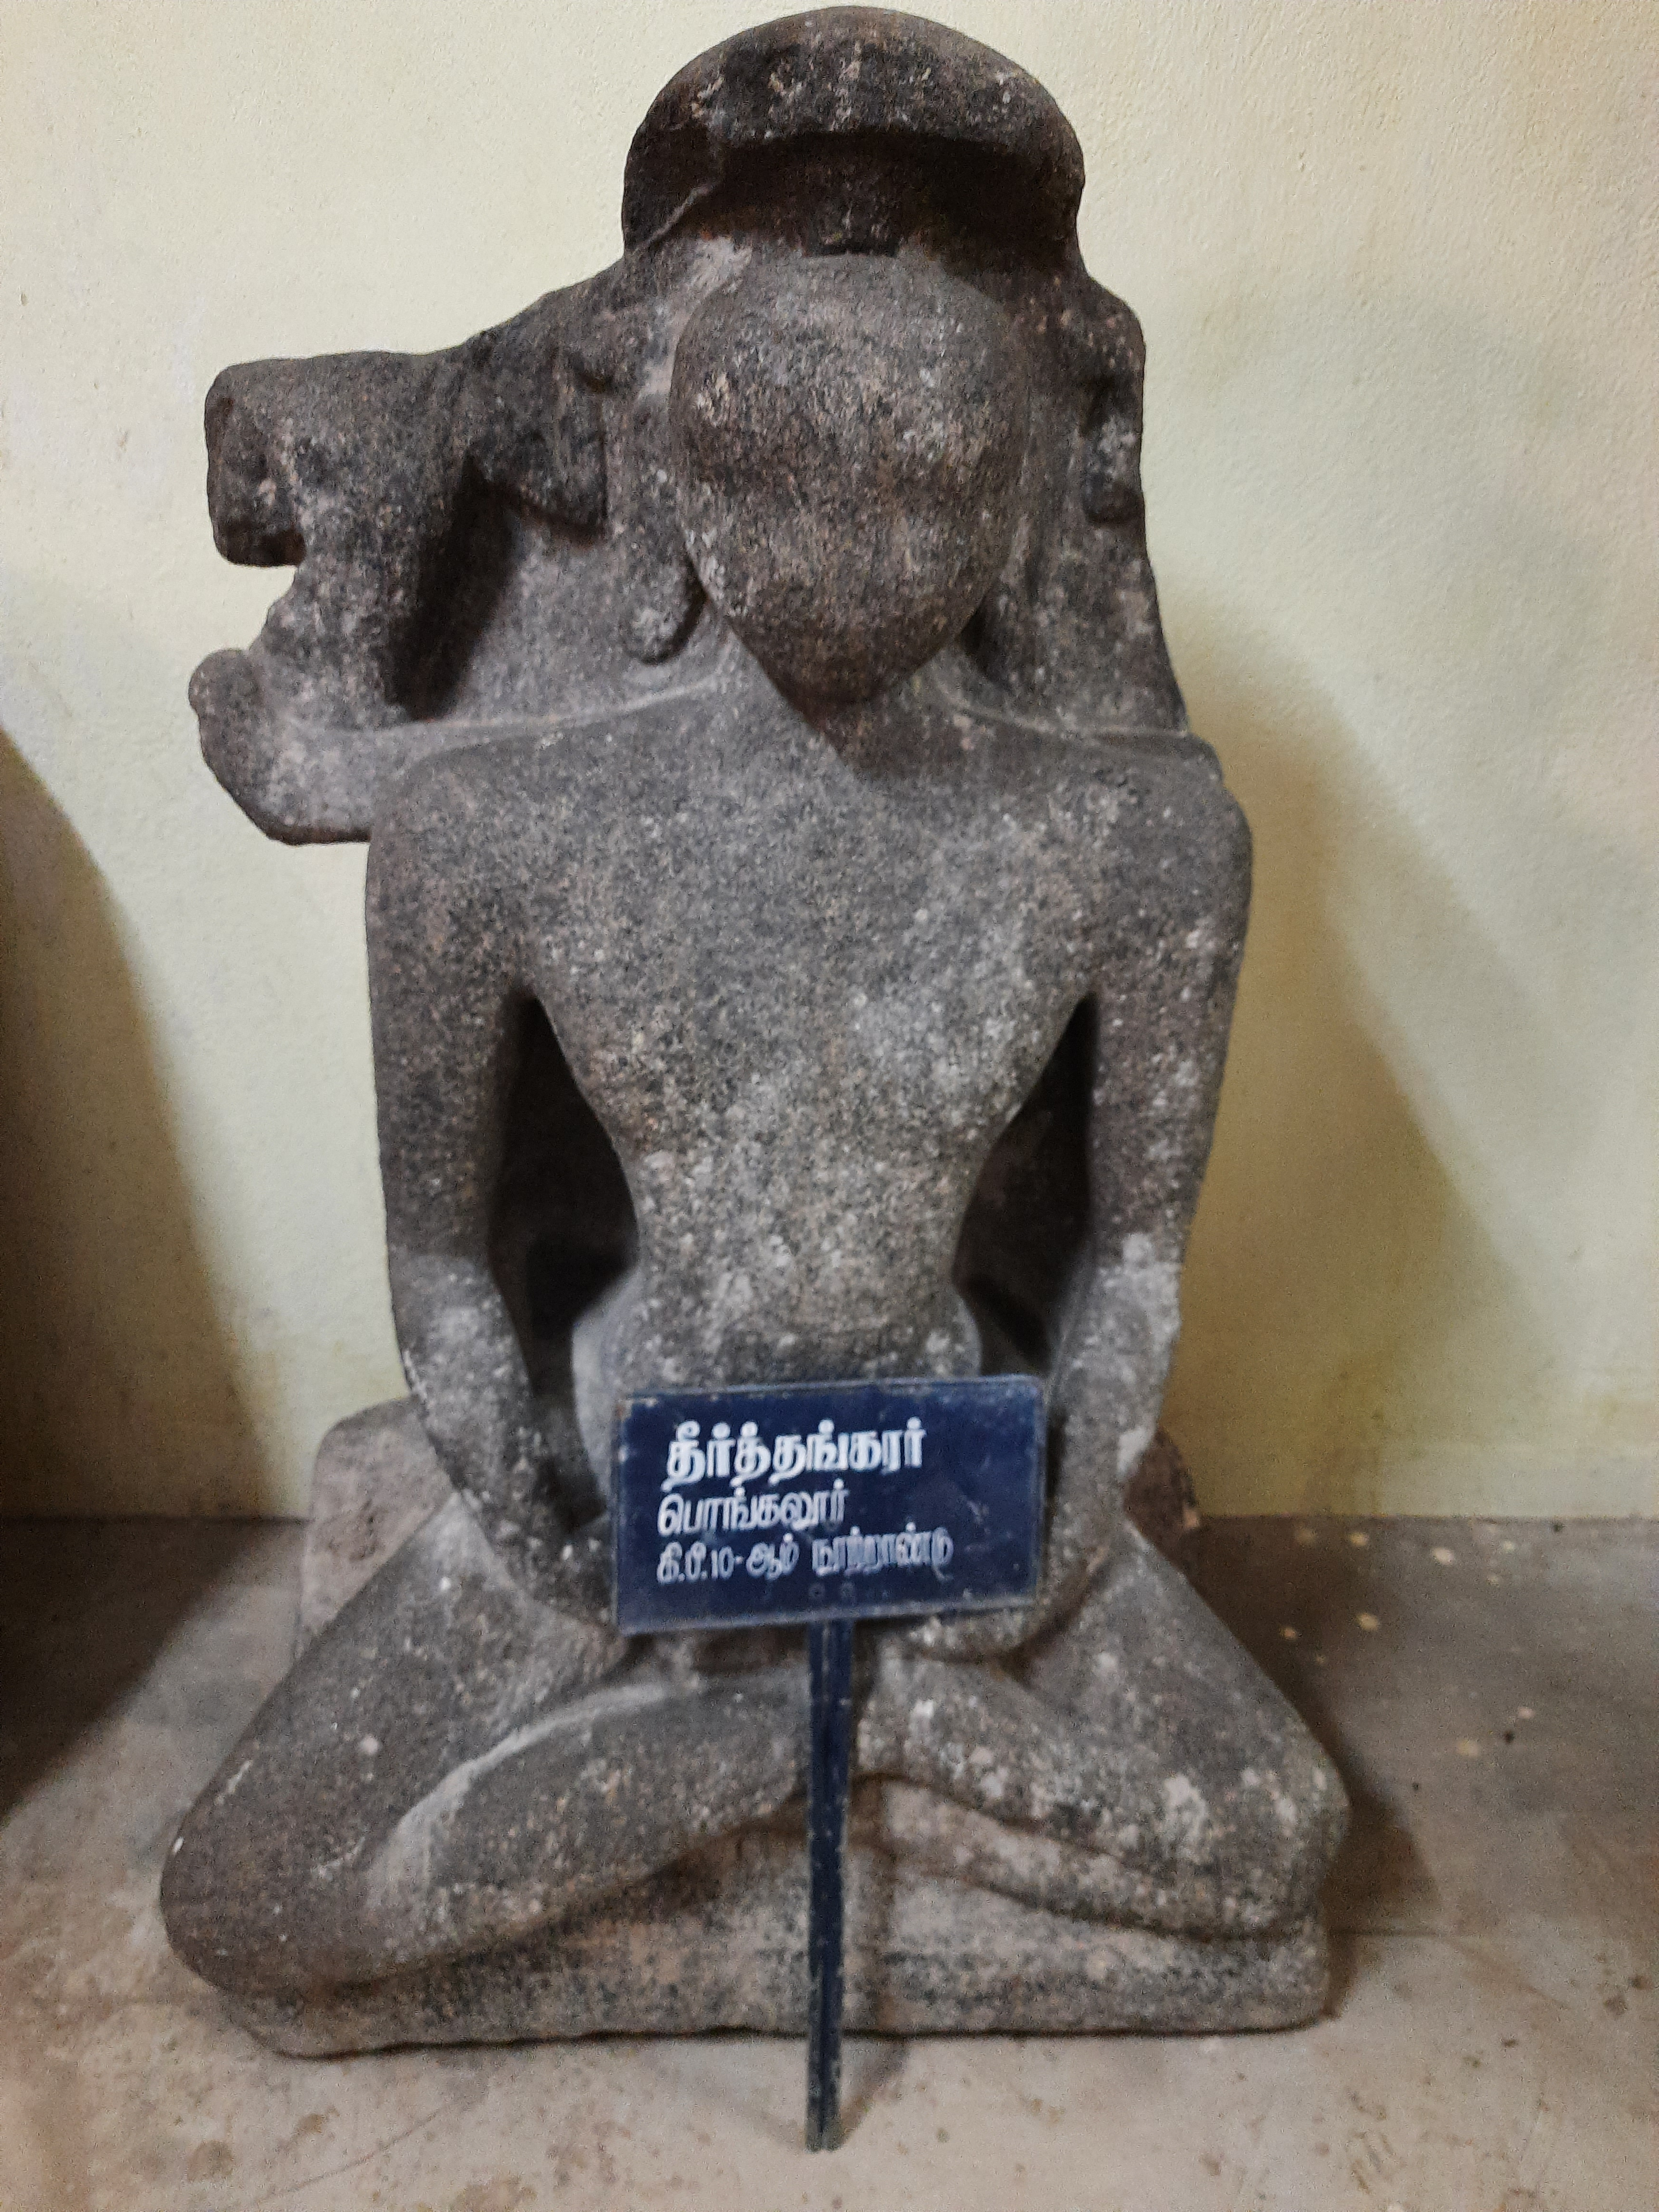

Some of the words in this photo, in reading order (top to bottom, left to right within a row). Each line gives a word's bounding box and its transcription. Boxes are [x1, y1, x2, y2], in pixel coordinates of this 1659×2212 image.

[658, 1416, 929, 1492] தீா்த்தங்கரா்
[653, 1474, 853, 1539] பொங்கலூர்
[653, 1531, 804, 1584] கி.பி.10-ஆம்
[808, 1519, 959, 1583] நூற்றாண்டு